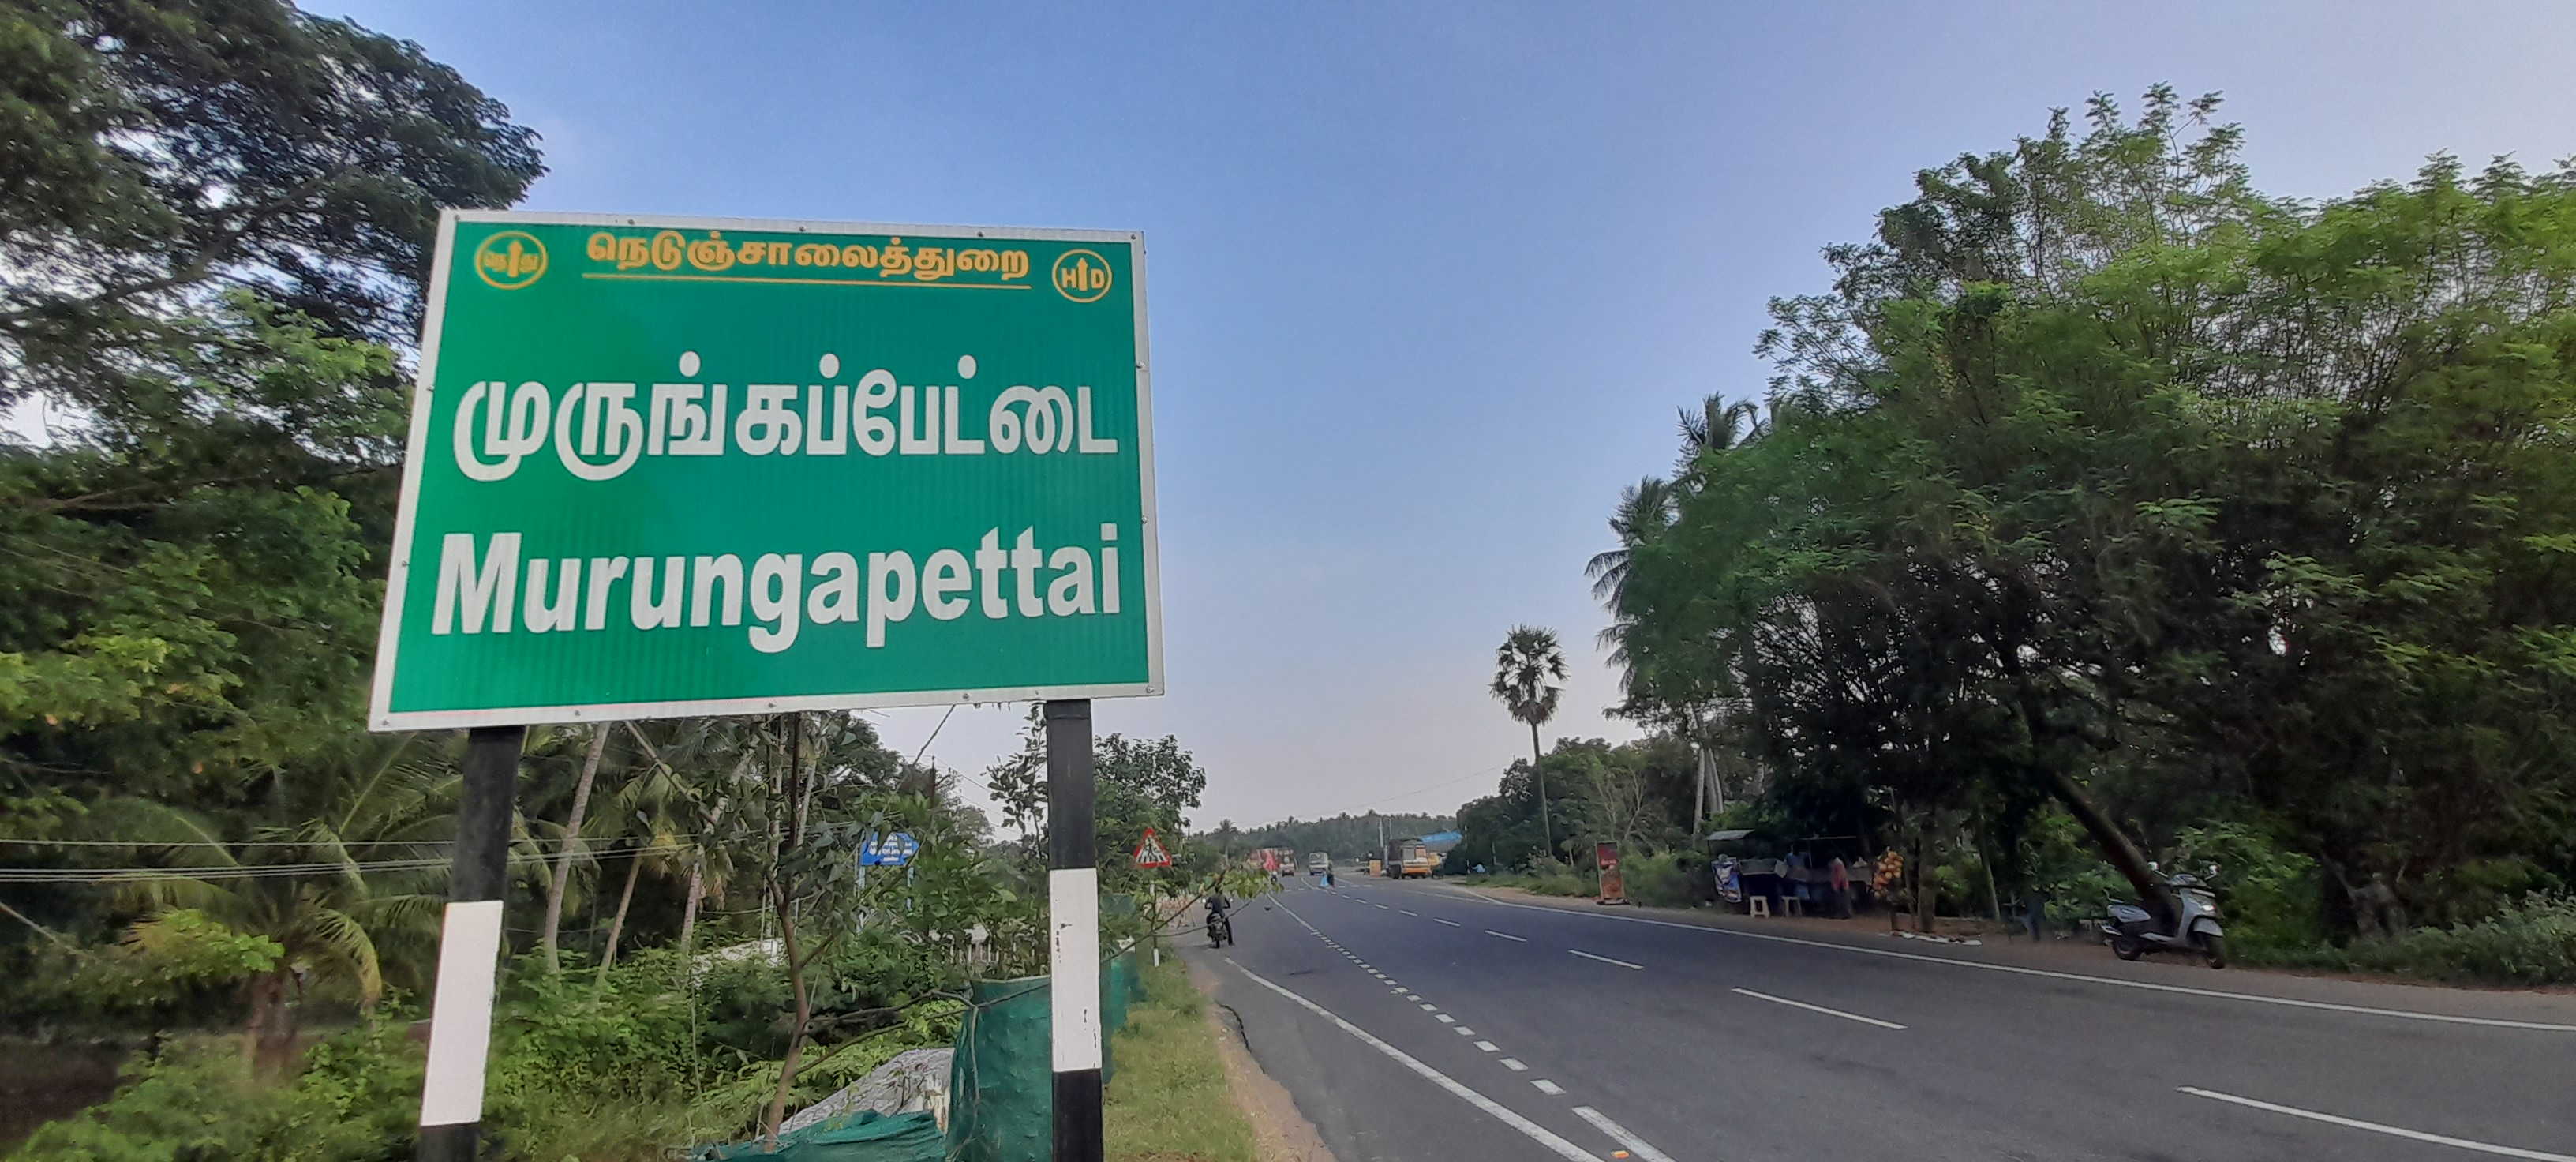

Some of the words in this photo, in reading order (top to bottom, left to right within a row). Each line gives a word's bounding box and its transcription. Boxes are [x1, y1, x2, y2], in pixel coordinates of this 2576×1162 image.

[582, 225, 1035, 283] நெ௫ஞ்சாலலத்துறை
[446, 343, 1123, 489] முருங்கப்பேட்டை
[427, 519, 1126, 656] Murungapettai